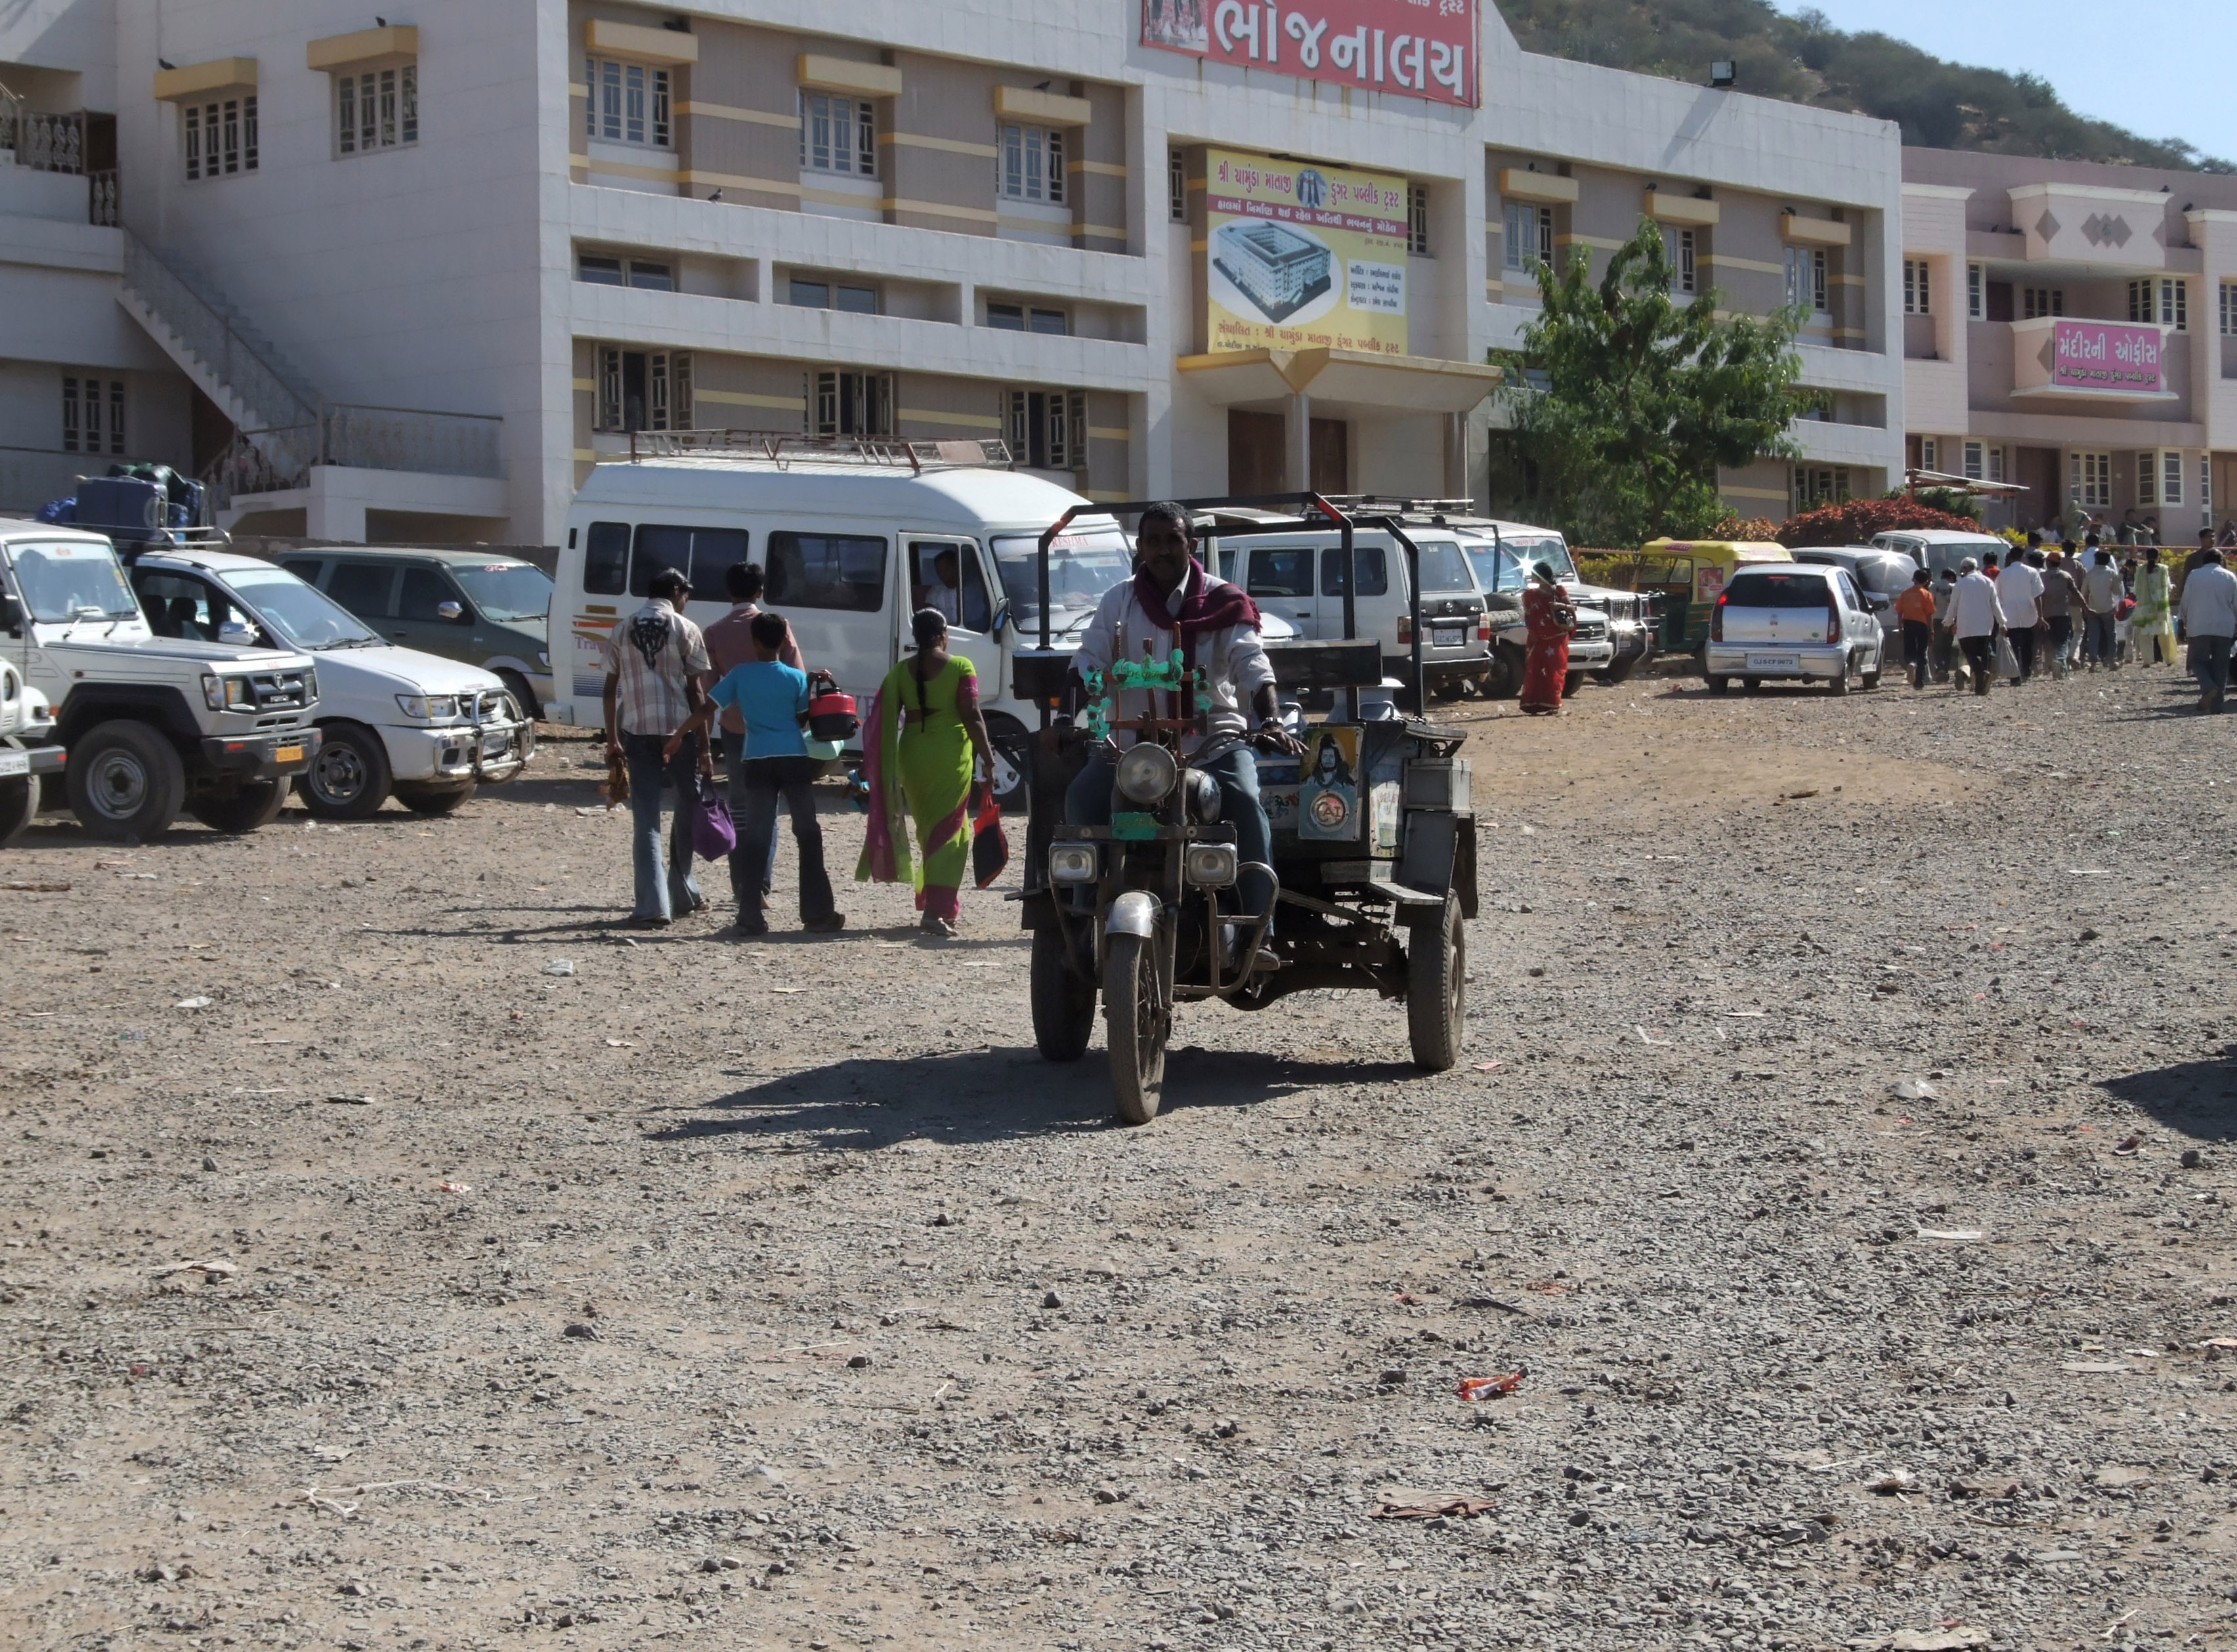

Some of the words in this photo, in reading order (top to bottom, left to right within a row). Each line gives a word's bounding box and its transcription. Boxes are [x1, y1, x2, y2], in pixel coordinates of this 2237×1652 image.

[1210, 0, 1473, 104] ભોજનાલચ
[1215, 158, 1231, 188] શ્રી
[1231, 161, 1263, 194] ચામુંડા
[1264, 170, 1294, 194] માતાજી
[1327, 173, 1351, 207] ડુંગર
[1350, 179, 1380, 206] પબ્લીક
[1380, 188, 1403, 215] ટ્રસ્ટ
[2057, 328, 2110, 362] મંદીરની
[2112, 329, 2159, 367] ઓફીસ